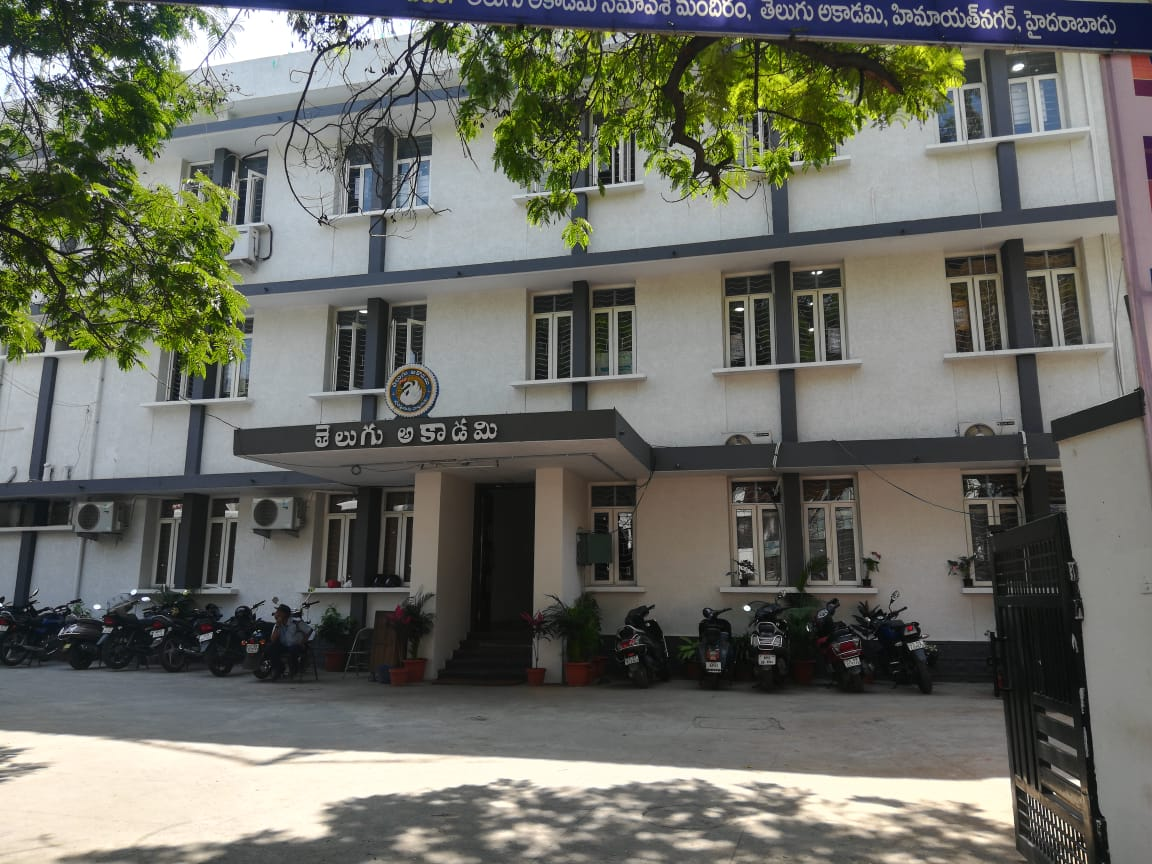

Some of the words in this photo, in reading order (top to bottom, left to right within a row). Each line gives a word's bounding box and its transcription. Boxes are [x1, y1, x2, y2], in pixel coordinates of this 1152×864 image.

[668, 1, 755, 24] మందిరం,
[753, 1, 818, 25] తలుగు
[813, 3, 891, 29] అకాడమి
[887, 1, 1019, 34] హిమాయత్ నగర్
[1021, 4, 1118, 43] హైదరాబాదు
[312, 419, 389, 449] తెలుగు
[393, 413, 501, 449] అకాడమి